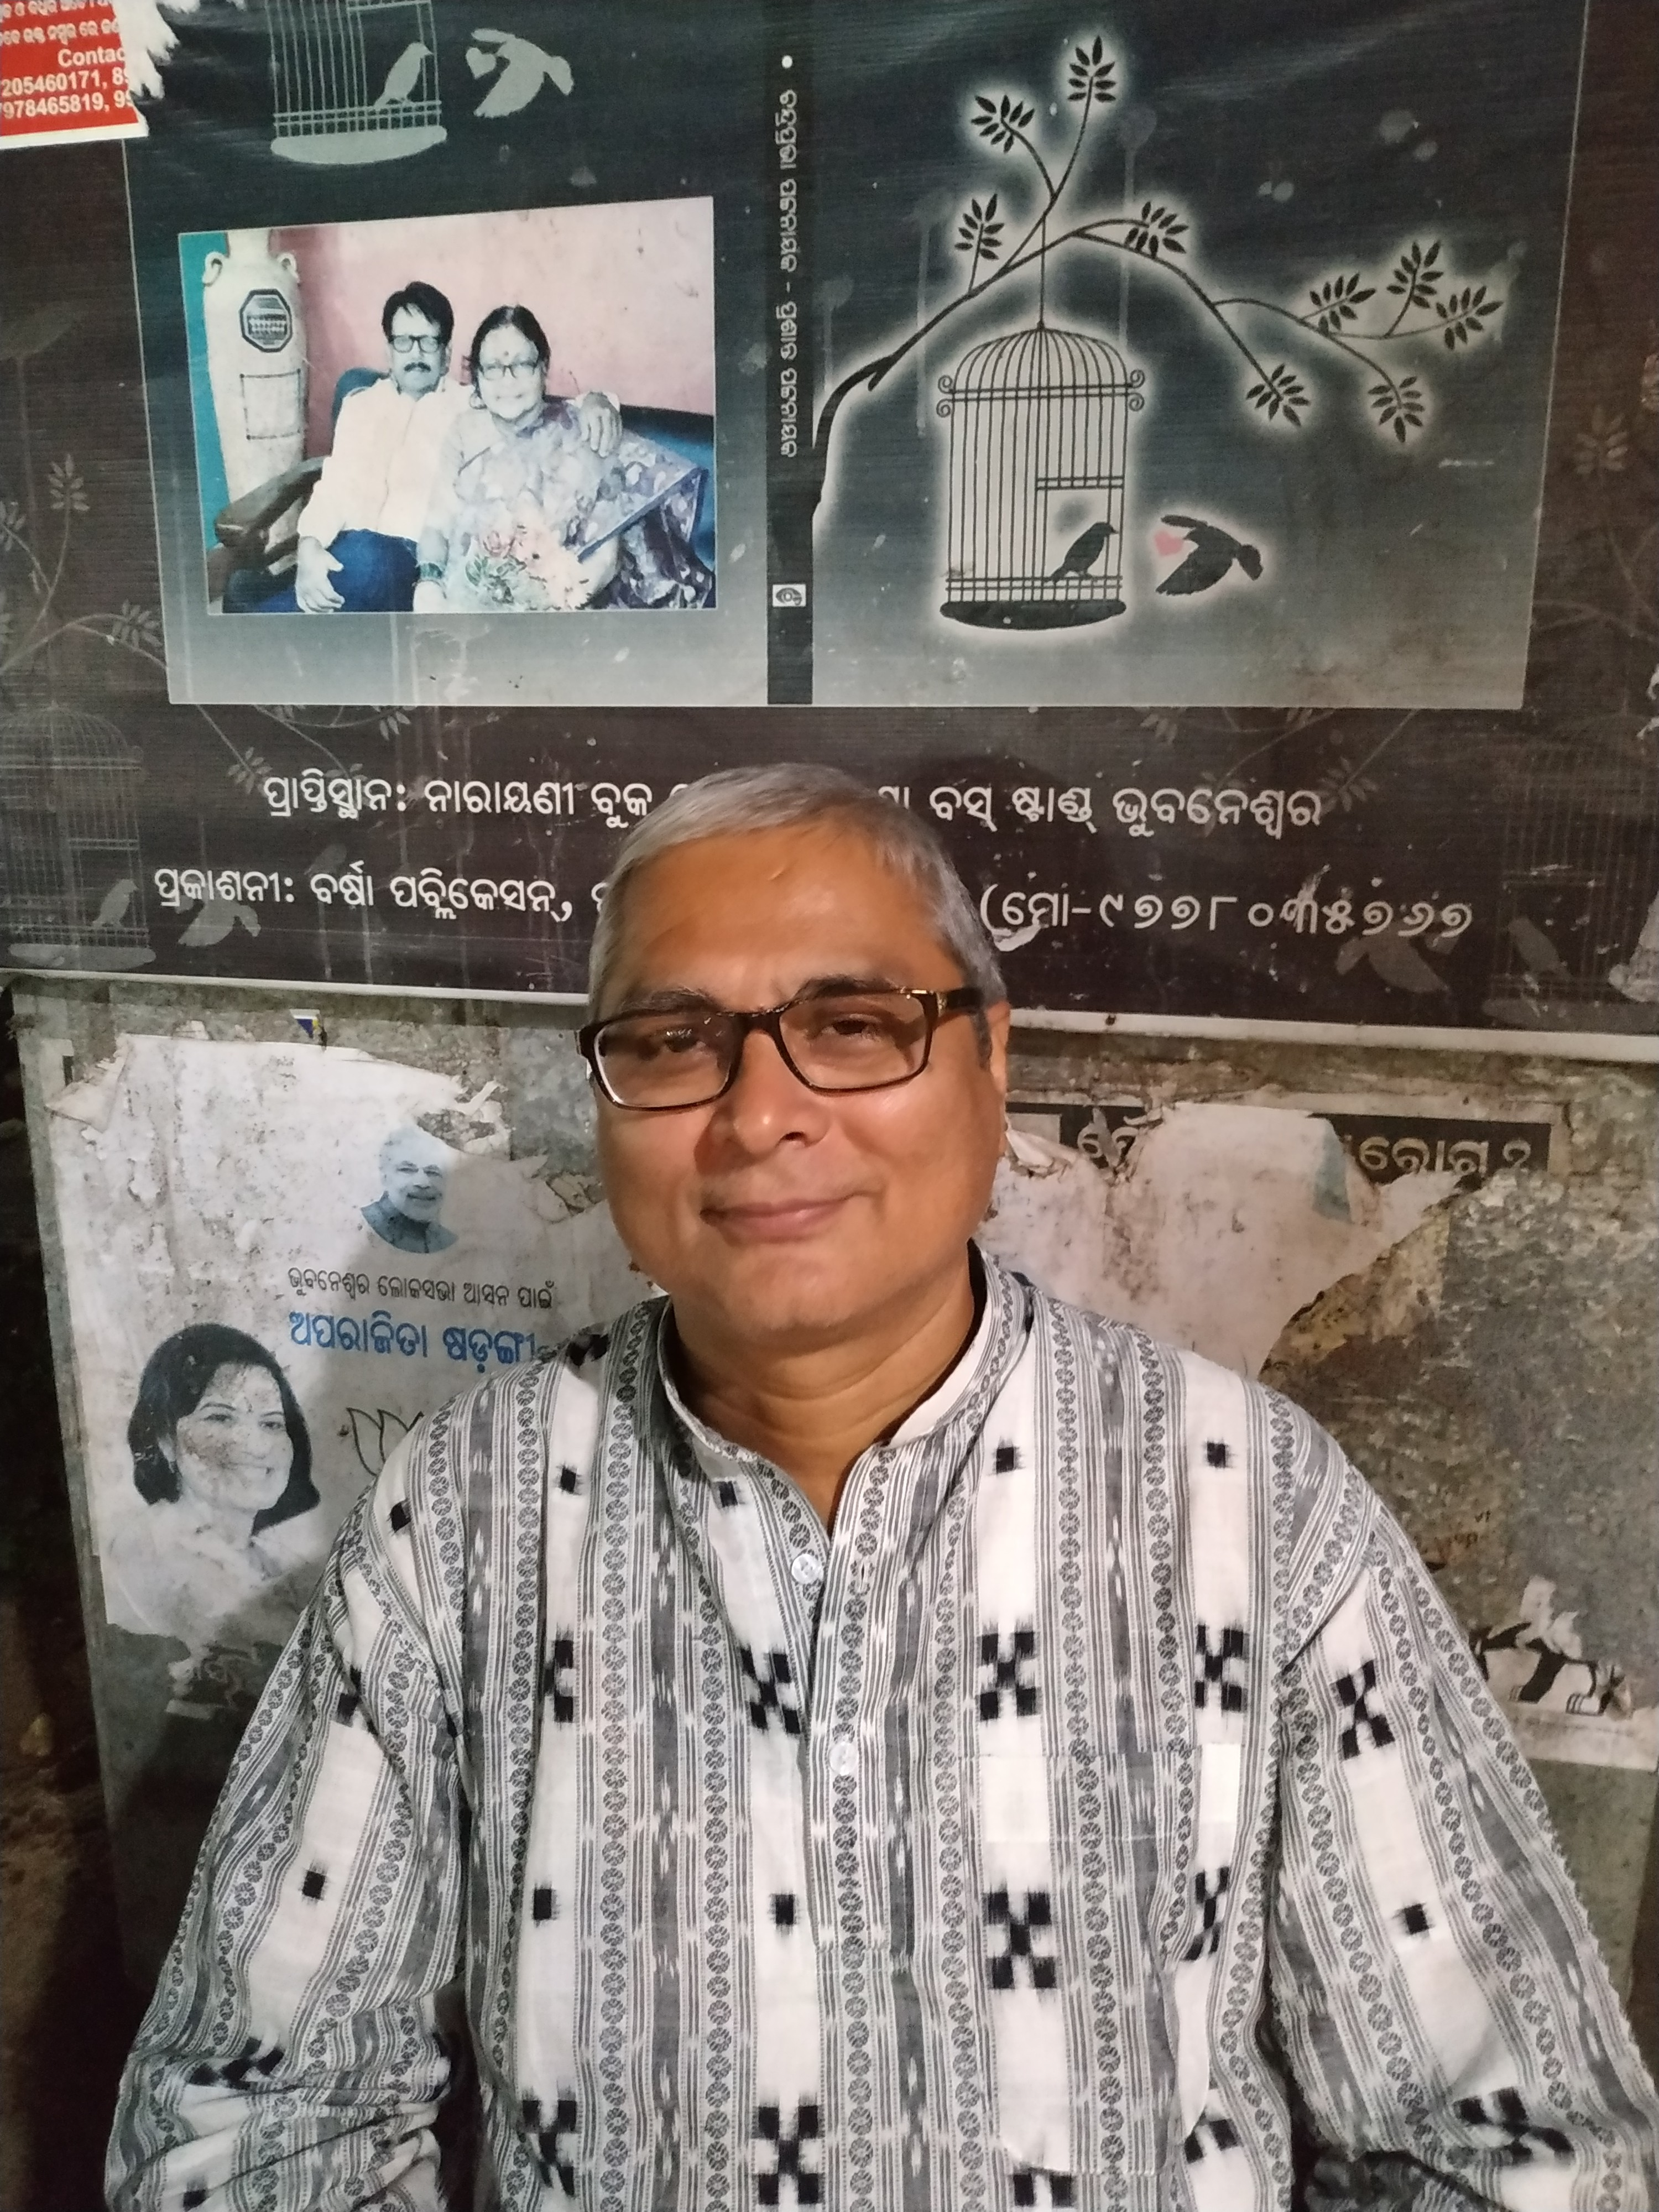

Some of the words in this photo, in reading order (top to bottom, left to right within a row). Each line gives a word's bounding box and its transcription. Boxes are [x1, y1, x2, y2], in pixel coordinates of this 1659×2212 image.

[71, 13, 103, 46] ରେ
[769, 85, 800, 171] ଚନ୍ଦ୍ରପ୍ରଭା
[771, 169, 802, 274] ପଟ୍ଟନାୟକ
[769, 297, 800, 361] ପ୍ରଶାନ୍ତ
[777, 362, 800, 461] ପଟ୍ଟନାୟକ
[257, 763, 413, 824] ପ୍ରାପ୍ତିସ୍ଥାନ:
[424, 776, 586, 818] ନାରାୟଣୀ
[584, 769, 658, 832] ବୁକ
[922, 782, 1000, 837] ବସ୍
[1009, 781, 1101, 836] ଷ୍ଟାଣ୍ଡ୍
[1109, 783, 1327, 847] ଭୁବନେଶ୍ବର
[149, 865, 291, 912] ପ୍ରକାଶନୀ
[304, 858, 381, 914] ବର୍ଷା
[389, 861, 564, 925] ପବ୍ଲିକେସନ୍
[989, 881, 1077, 937] ମୋ-
[1091, 889, 1239, 934] ୯୭୭୮
[1240, 879, 1366, 939] ୦୩୫
[1357, 898, 1478, 941] ୭୬୭
[1350, 1129, 1540, 1196] ରୋଗ
[285, 1262, 373, 1305] ଭୁବନେଶ୍ଵର
[373, 1272, 460, 1304] ଲୋକସଭା
[462, 1277, 510, 1310] ଆସନ
[515, 1275, 559, 1313] ପାଇଁ
[286, 1305, 430, 1360] ଅପରାଜିତା
[436, 1324, 538, 1375] ଷଡ଼ଙ୍ଗୀ